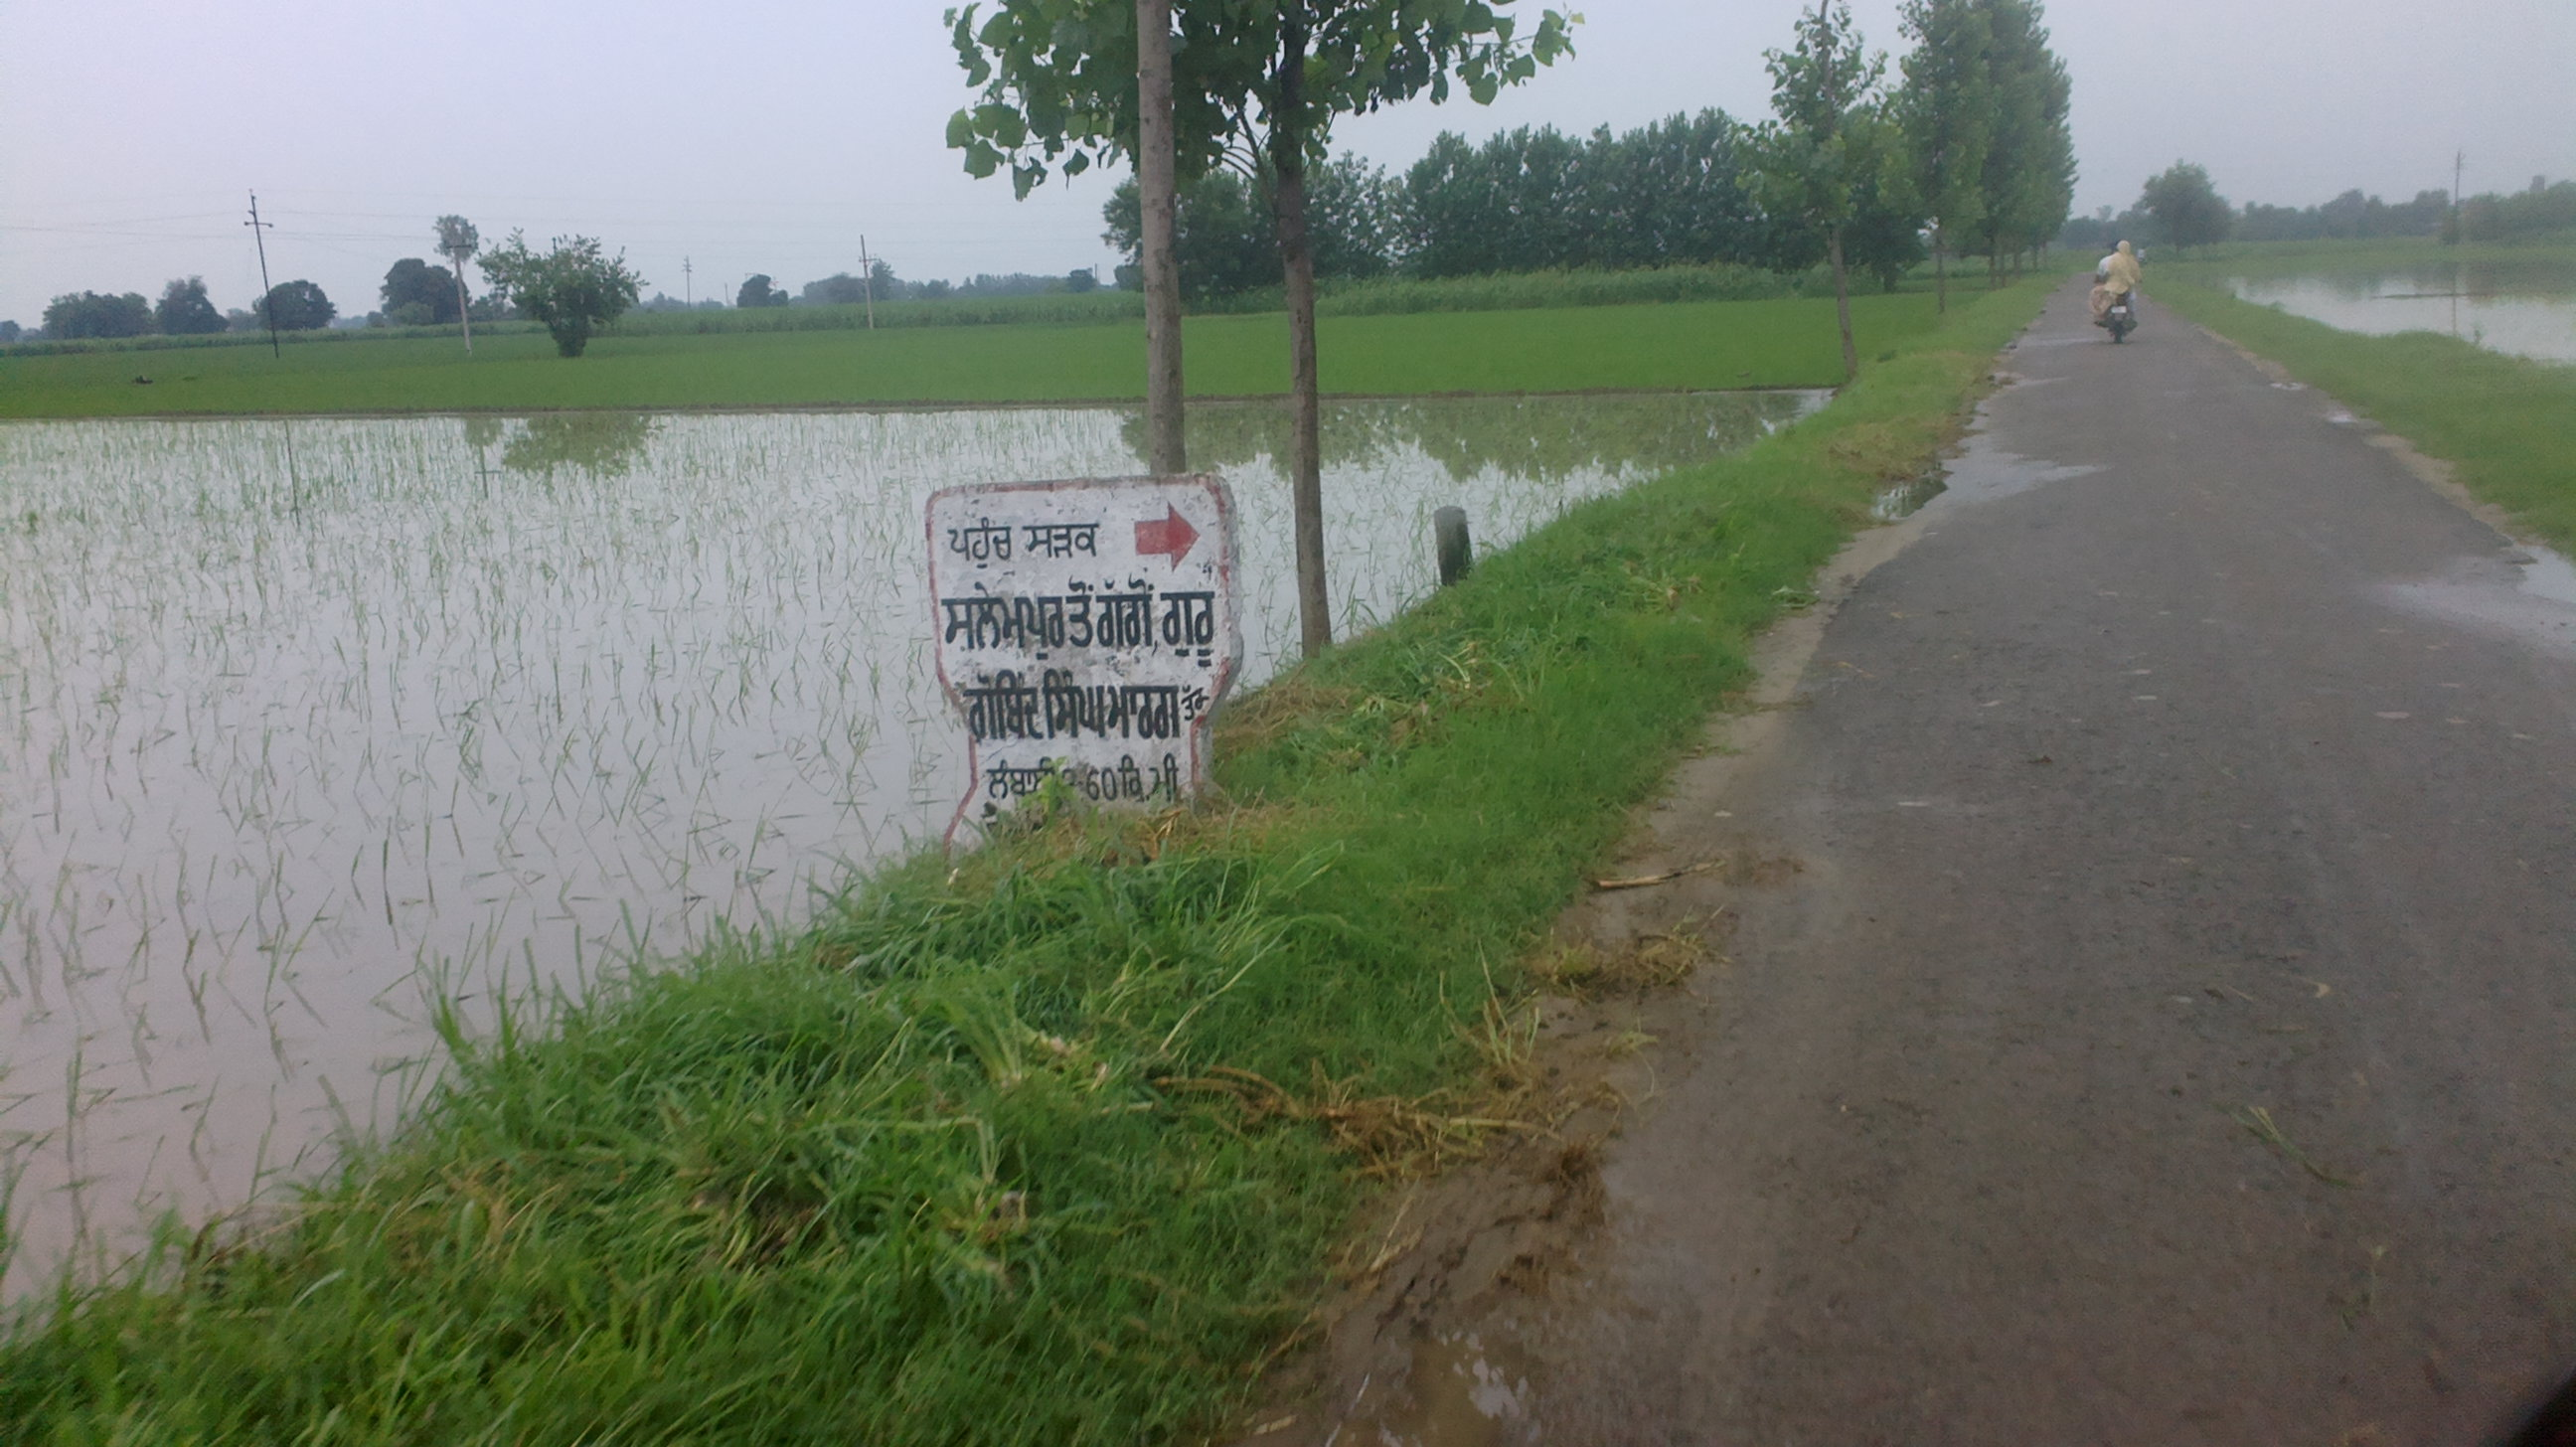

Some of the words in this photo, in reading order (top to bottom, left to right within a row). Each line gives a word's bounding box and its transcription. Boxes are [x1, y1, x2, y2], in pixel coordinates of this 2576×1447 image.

[941, 511, 1017, 574] ਪਹੁੰਚ
[1019, 520, 1106, 565] ਸੜਕ
[935, 577, 1068, 663] ਸਲੇਮਪੁਰ
[1062, 566, 1096, 655] ਤੋਂ
[1096, 564, 1159, 657] ਗੱਗੋਂ
[1156, 581, 1220, 671] ਗੁਰੂ
[957, 665, 1048, 747] ਗੋਬਿੰਟ
[1038, 663, 1183, 748] ਸਿੰਘਮਾਰਗ
[1179, 679, 1212, 723] ਤੱਕ
[1084, 758, 1121, 803] 60
[1117, 746, 1184, 804] ਕਿ.ਮੀ